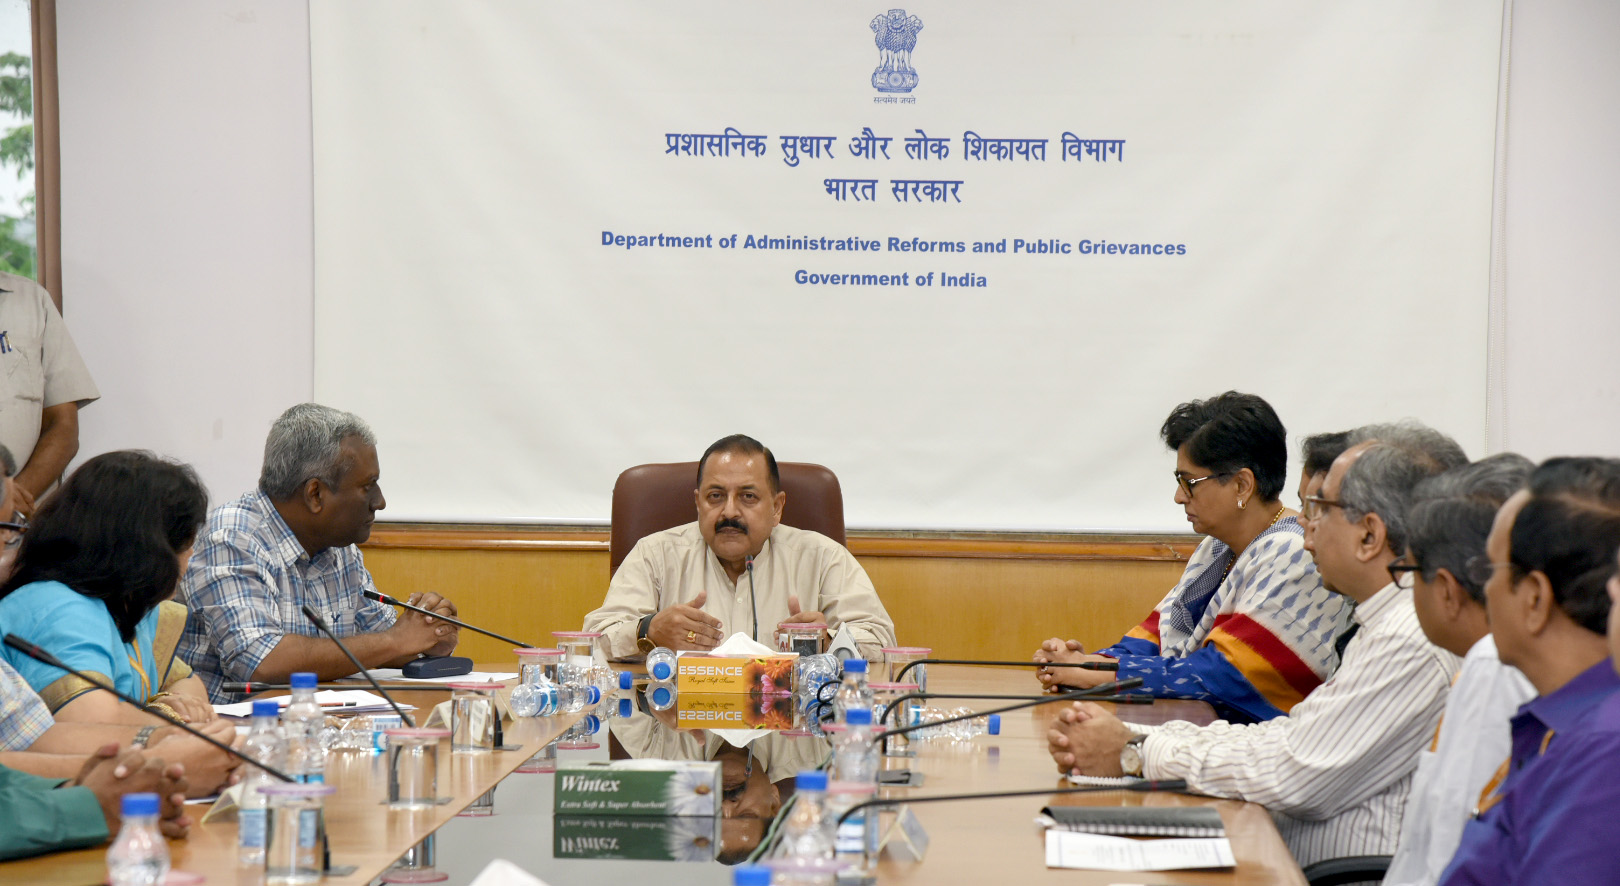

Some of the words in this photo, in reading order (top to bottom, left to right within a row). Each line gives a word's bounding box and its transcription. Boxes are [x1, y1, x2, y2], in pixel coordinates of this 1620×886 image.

[868, 83, 904, 107] सत्यमेव
[893, 85, 921, 110] जयते
[661, 113, 770, 164] प्रशासनिक
[777, 128, 837, 169] सुधार
[840, 120, 897, 164] और
[899, 119, 953, 163] लोक
[956, 121, 1054, 166] शिकायत
[1053, 121, 1127, 170] विभाग
[820, 169, 881, 205] भारत
[886, 172, 964, 207] सरकार
[597, 223, 716, 253] Department
[712, 227, 743, 255] of
[737, 227, 886, 255] Administrative
[881, 227, 971, 255] Reforms
[967, 233, 1012, 257] and
[1009, 229, 1077, 259] Public
[1074, 228, 1191, 259] Grievances
[787, 263, 913, 289] Government
[907, 266, 937, 290] of
[937, 263, 991, 290] India
[555, 765, 627, 799] Wintex